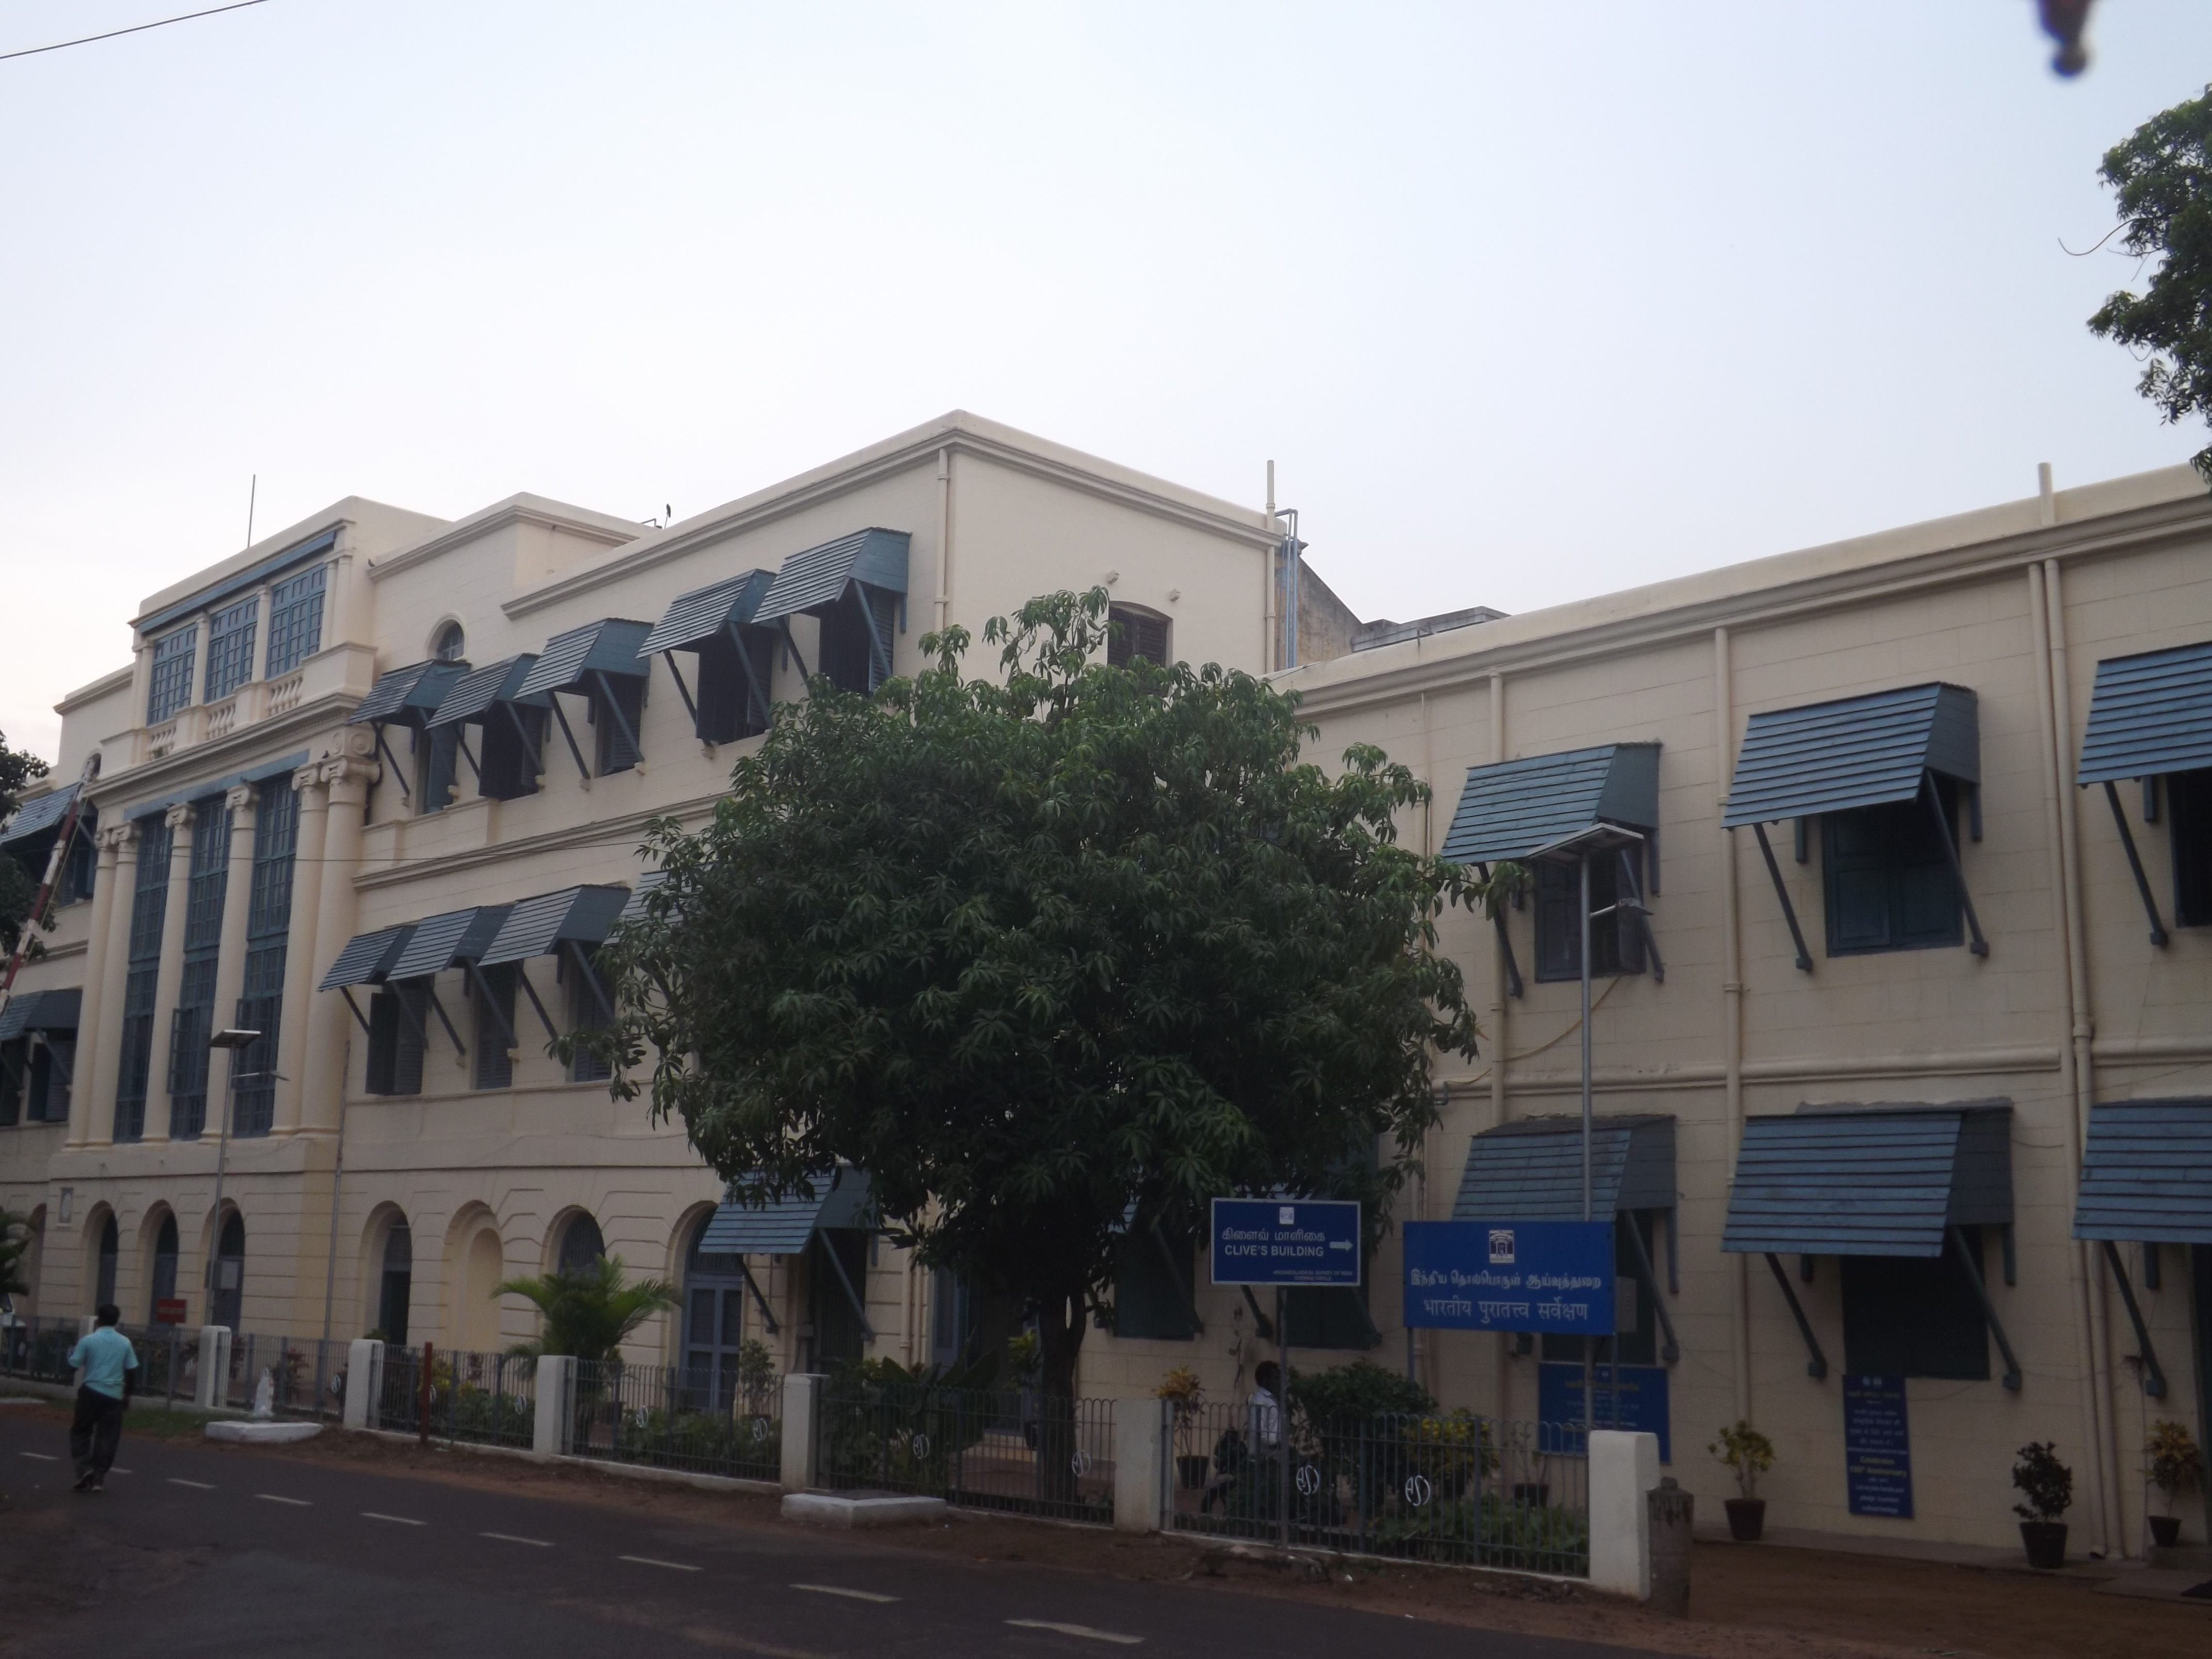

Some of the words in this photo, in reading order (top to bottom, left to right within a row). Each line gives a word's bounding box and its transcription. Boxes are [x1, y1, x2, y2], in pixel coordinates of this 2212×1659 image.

[1218, 1224, 1273, 1243] கிளளவ்
[1273, 1224, 1329, 1243] மாளிகை
[1222, 1240, 1269, 1258] CLIVE
[1268, 1243, 1325, 1260] BUILDING
[1406, 1263, 1451, 1288] இந்திய
[1444, 1265, 1523, 1292] தொலபொருள்
[1522, 1268, 1604, 1293] ஆய்வுத்துறை
[1423, 1292, 1474, 1320] भारतीय
[1476, 1297, 1531, 1326] पुरातत्त्व
[1531, 1292, 1591, 1323] सर्वेक्षण